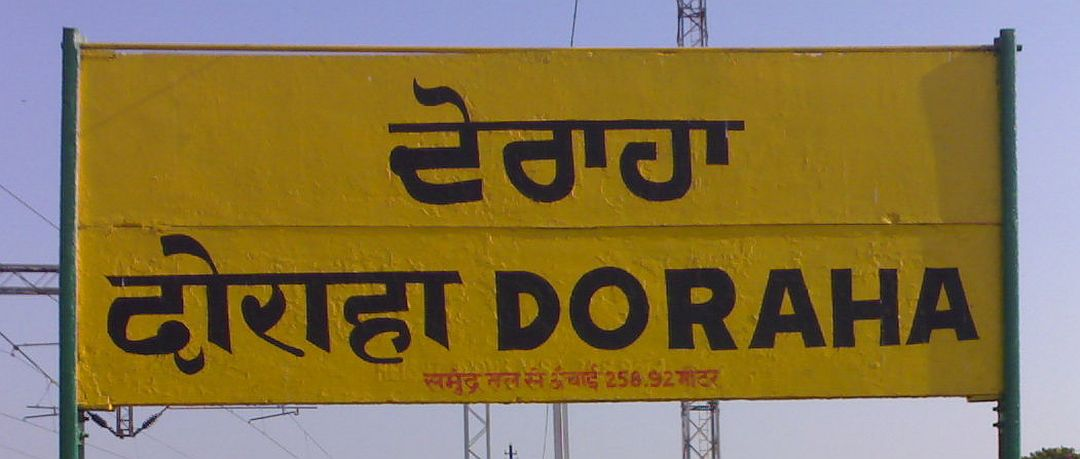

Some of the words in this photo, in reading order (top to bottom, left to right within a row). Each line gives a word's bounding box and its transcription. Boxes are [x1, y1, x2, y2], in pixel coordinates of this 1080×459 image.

[364, 70, 780, 230] ਦੇਰਾਹਾ
[86, 212, 472, 390] दोराहा
[486, 254, 988, 360] DORAHA